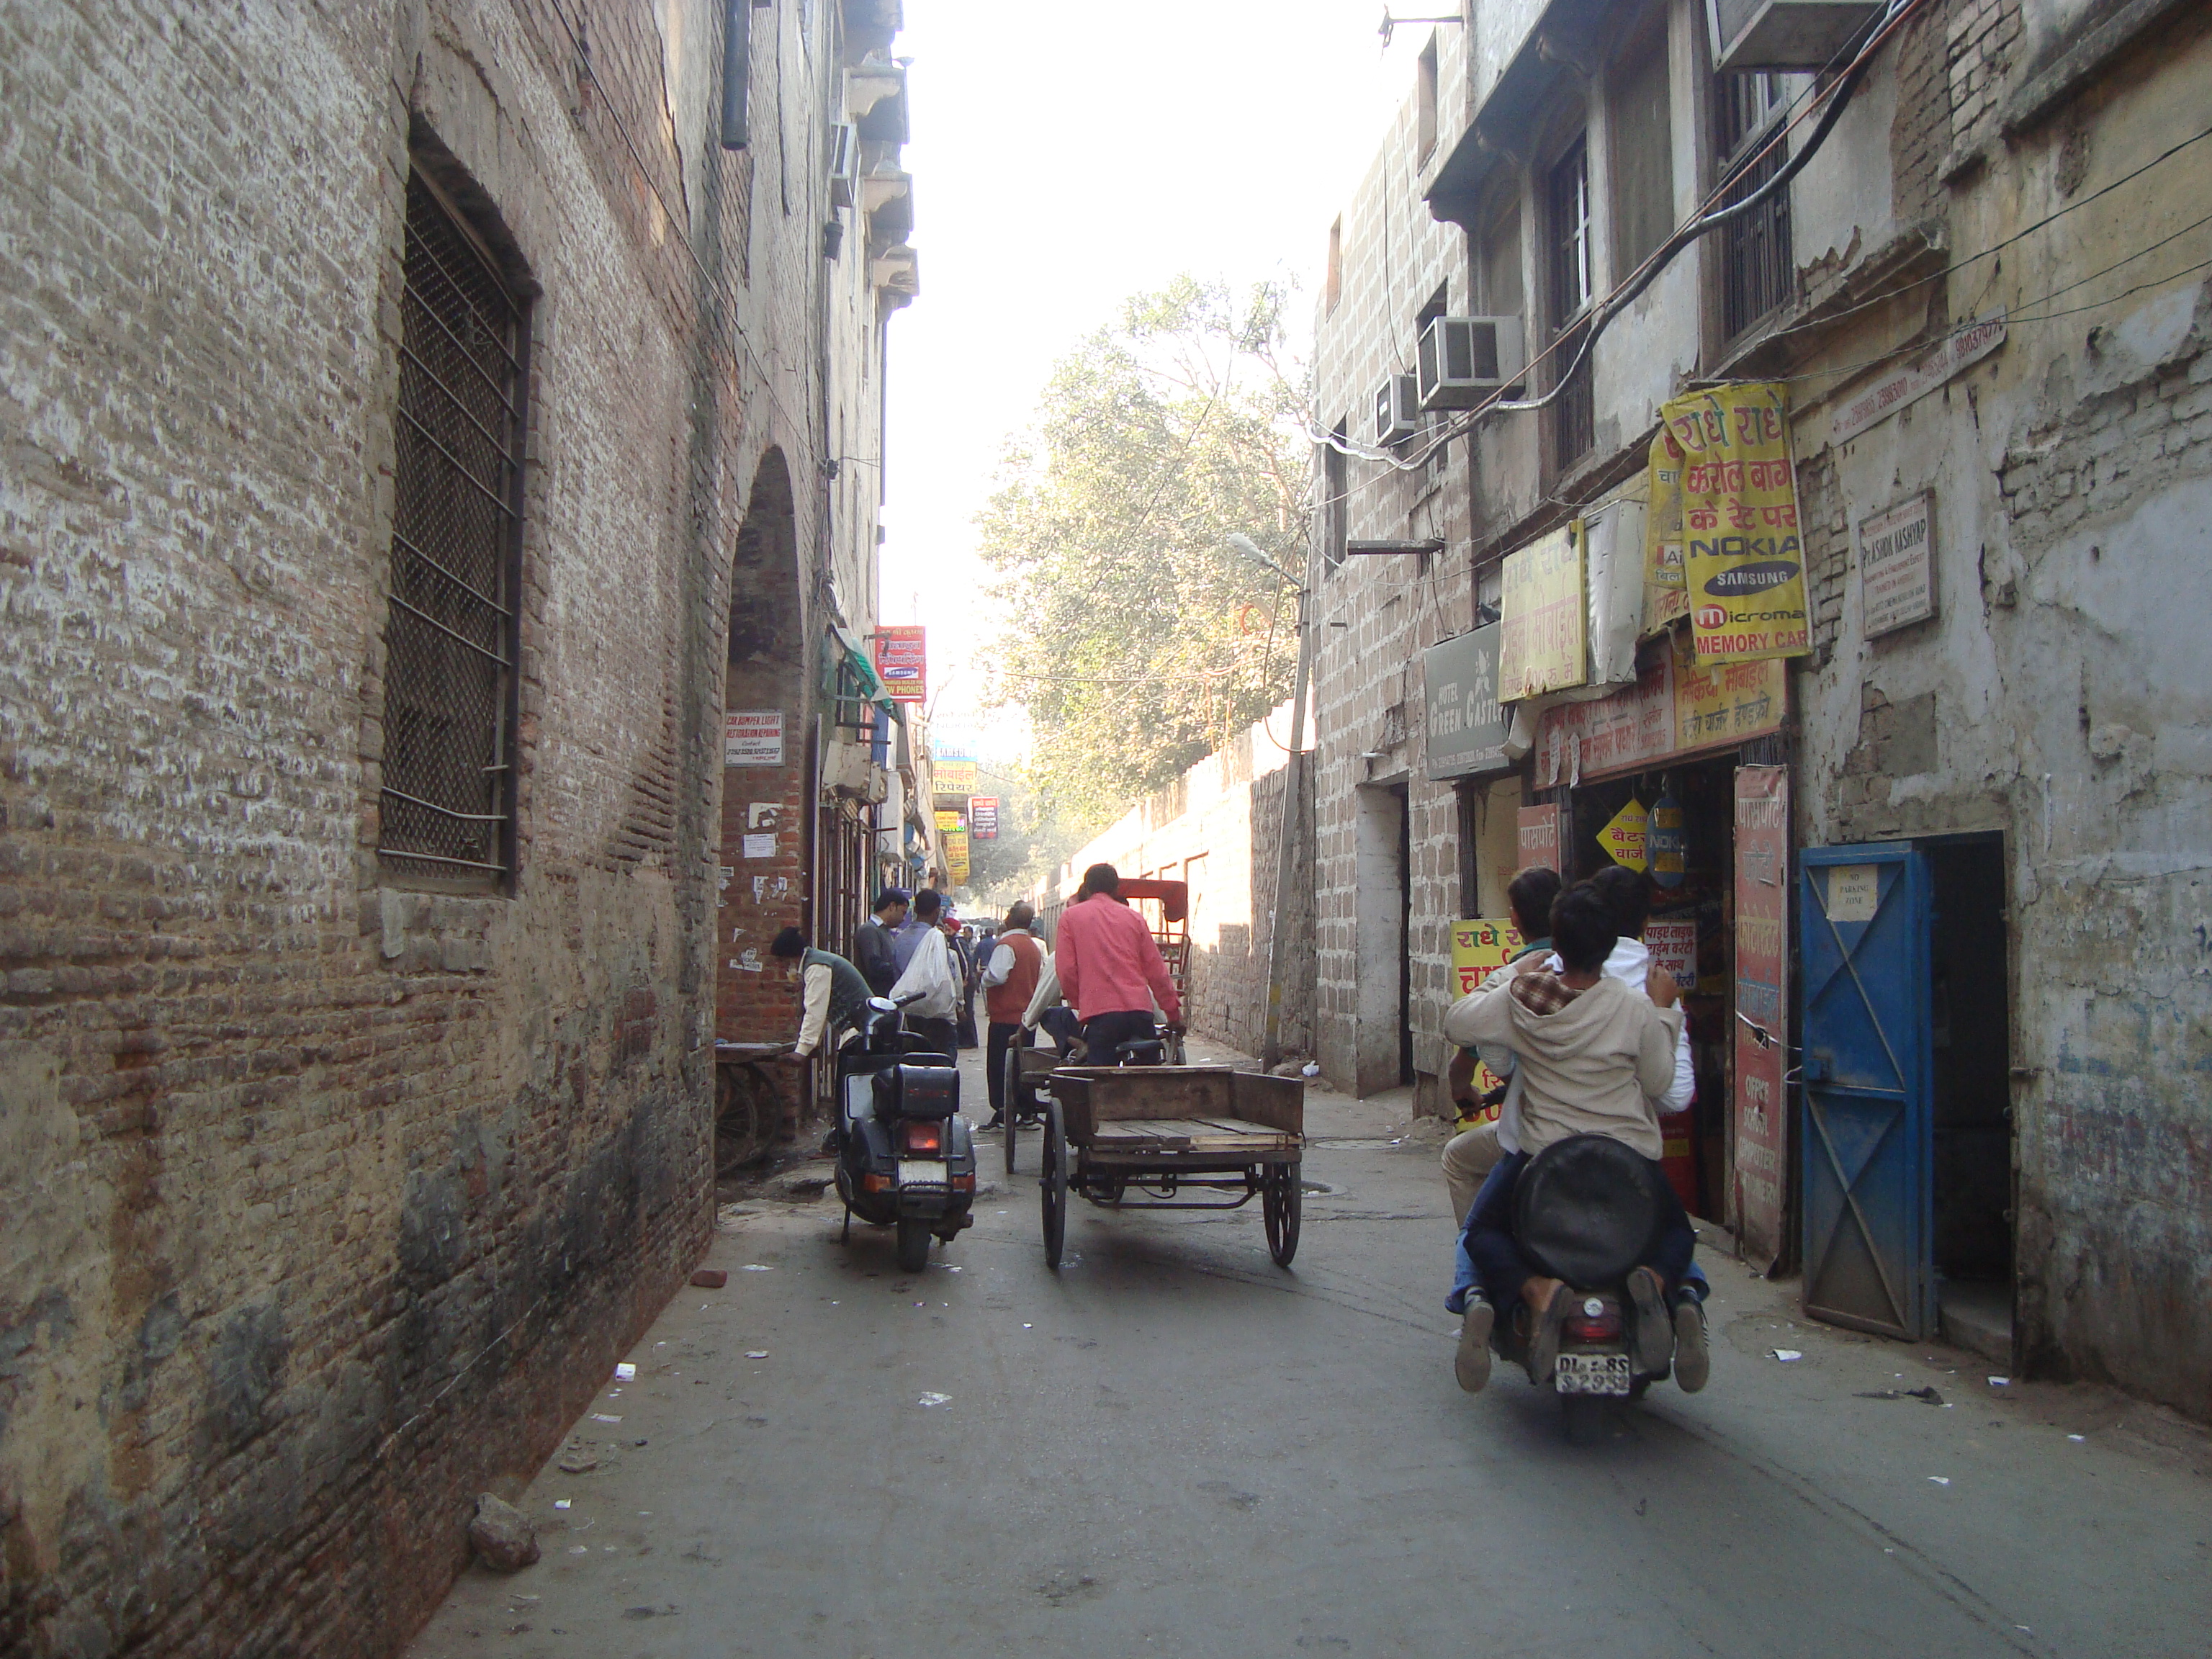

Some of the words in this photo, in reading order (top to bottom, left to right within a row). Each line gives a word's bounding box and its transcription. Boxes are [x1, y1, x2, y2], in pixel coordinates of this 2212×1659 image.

[1668, 388, 1733, 457] राधे
[1731, 384, 1791, 450] राधे
[1682, 447, 1750, 500] करोल
[1747, 456, 1796, 497] बाग
[1499, 542, 1539, 597] राधे
[1537, 526, 1583, 577] राधे
[1684, 494, 1722, 532] केे
[1720, 492, 1761, 532] रेट
[1688, 530, 1807, 559] NOKIA
[1710, 567, 1792, 591] SAMSUNG
[1759, 500, 1799, 534] पर
[1867, 529, 1896, 565] ASHOK
[1894, 515, 1928, 557] KASHYAP
[1496, 591, 1534, 675] चाईना
[1527, 570, 1583, 665] मोबाईल
[1696, 629, 1771, 655] MEMORY
[1692, 601, 1809, 627] Microma
[1771, 626, 1811, 652] CAR
[1676, 664, 1722, 709] नोकिया
[1719, 655, 1773, 698] मोबाइल
[1591, 716, 1616, 764] सामने
[1609, 714, 1640, 757] पधारे।
[1677, 707, 1704, 742] बैटरी
[1700, 701, 1731, 736] चार्जर
[1729, 686, 1773, 734] हैण्डफ्री
[1737, 779, 1785, 833] पासपोर्ट
[1517, 808, 1559, 852] पासपोर्ट
[1737, 837, 1779, 886] फोटो
[1452, 920, 1503, 950] राधे
[1644, 922, 1671, 940] पाइए
[1644, 937, 1673, 958] टाईम
[1663, 956, 1689, 974] साथ
[1665, 924, 1696, 940] लाइफ
[1670, 937, 1694, 957] वरेटी
[1732, 898, 1781, 961] फोटोस्टेट
[1733, 961, 1784, 1026] मोबाईल